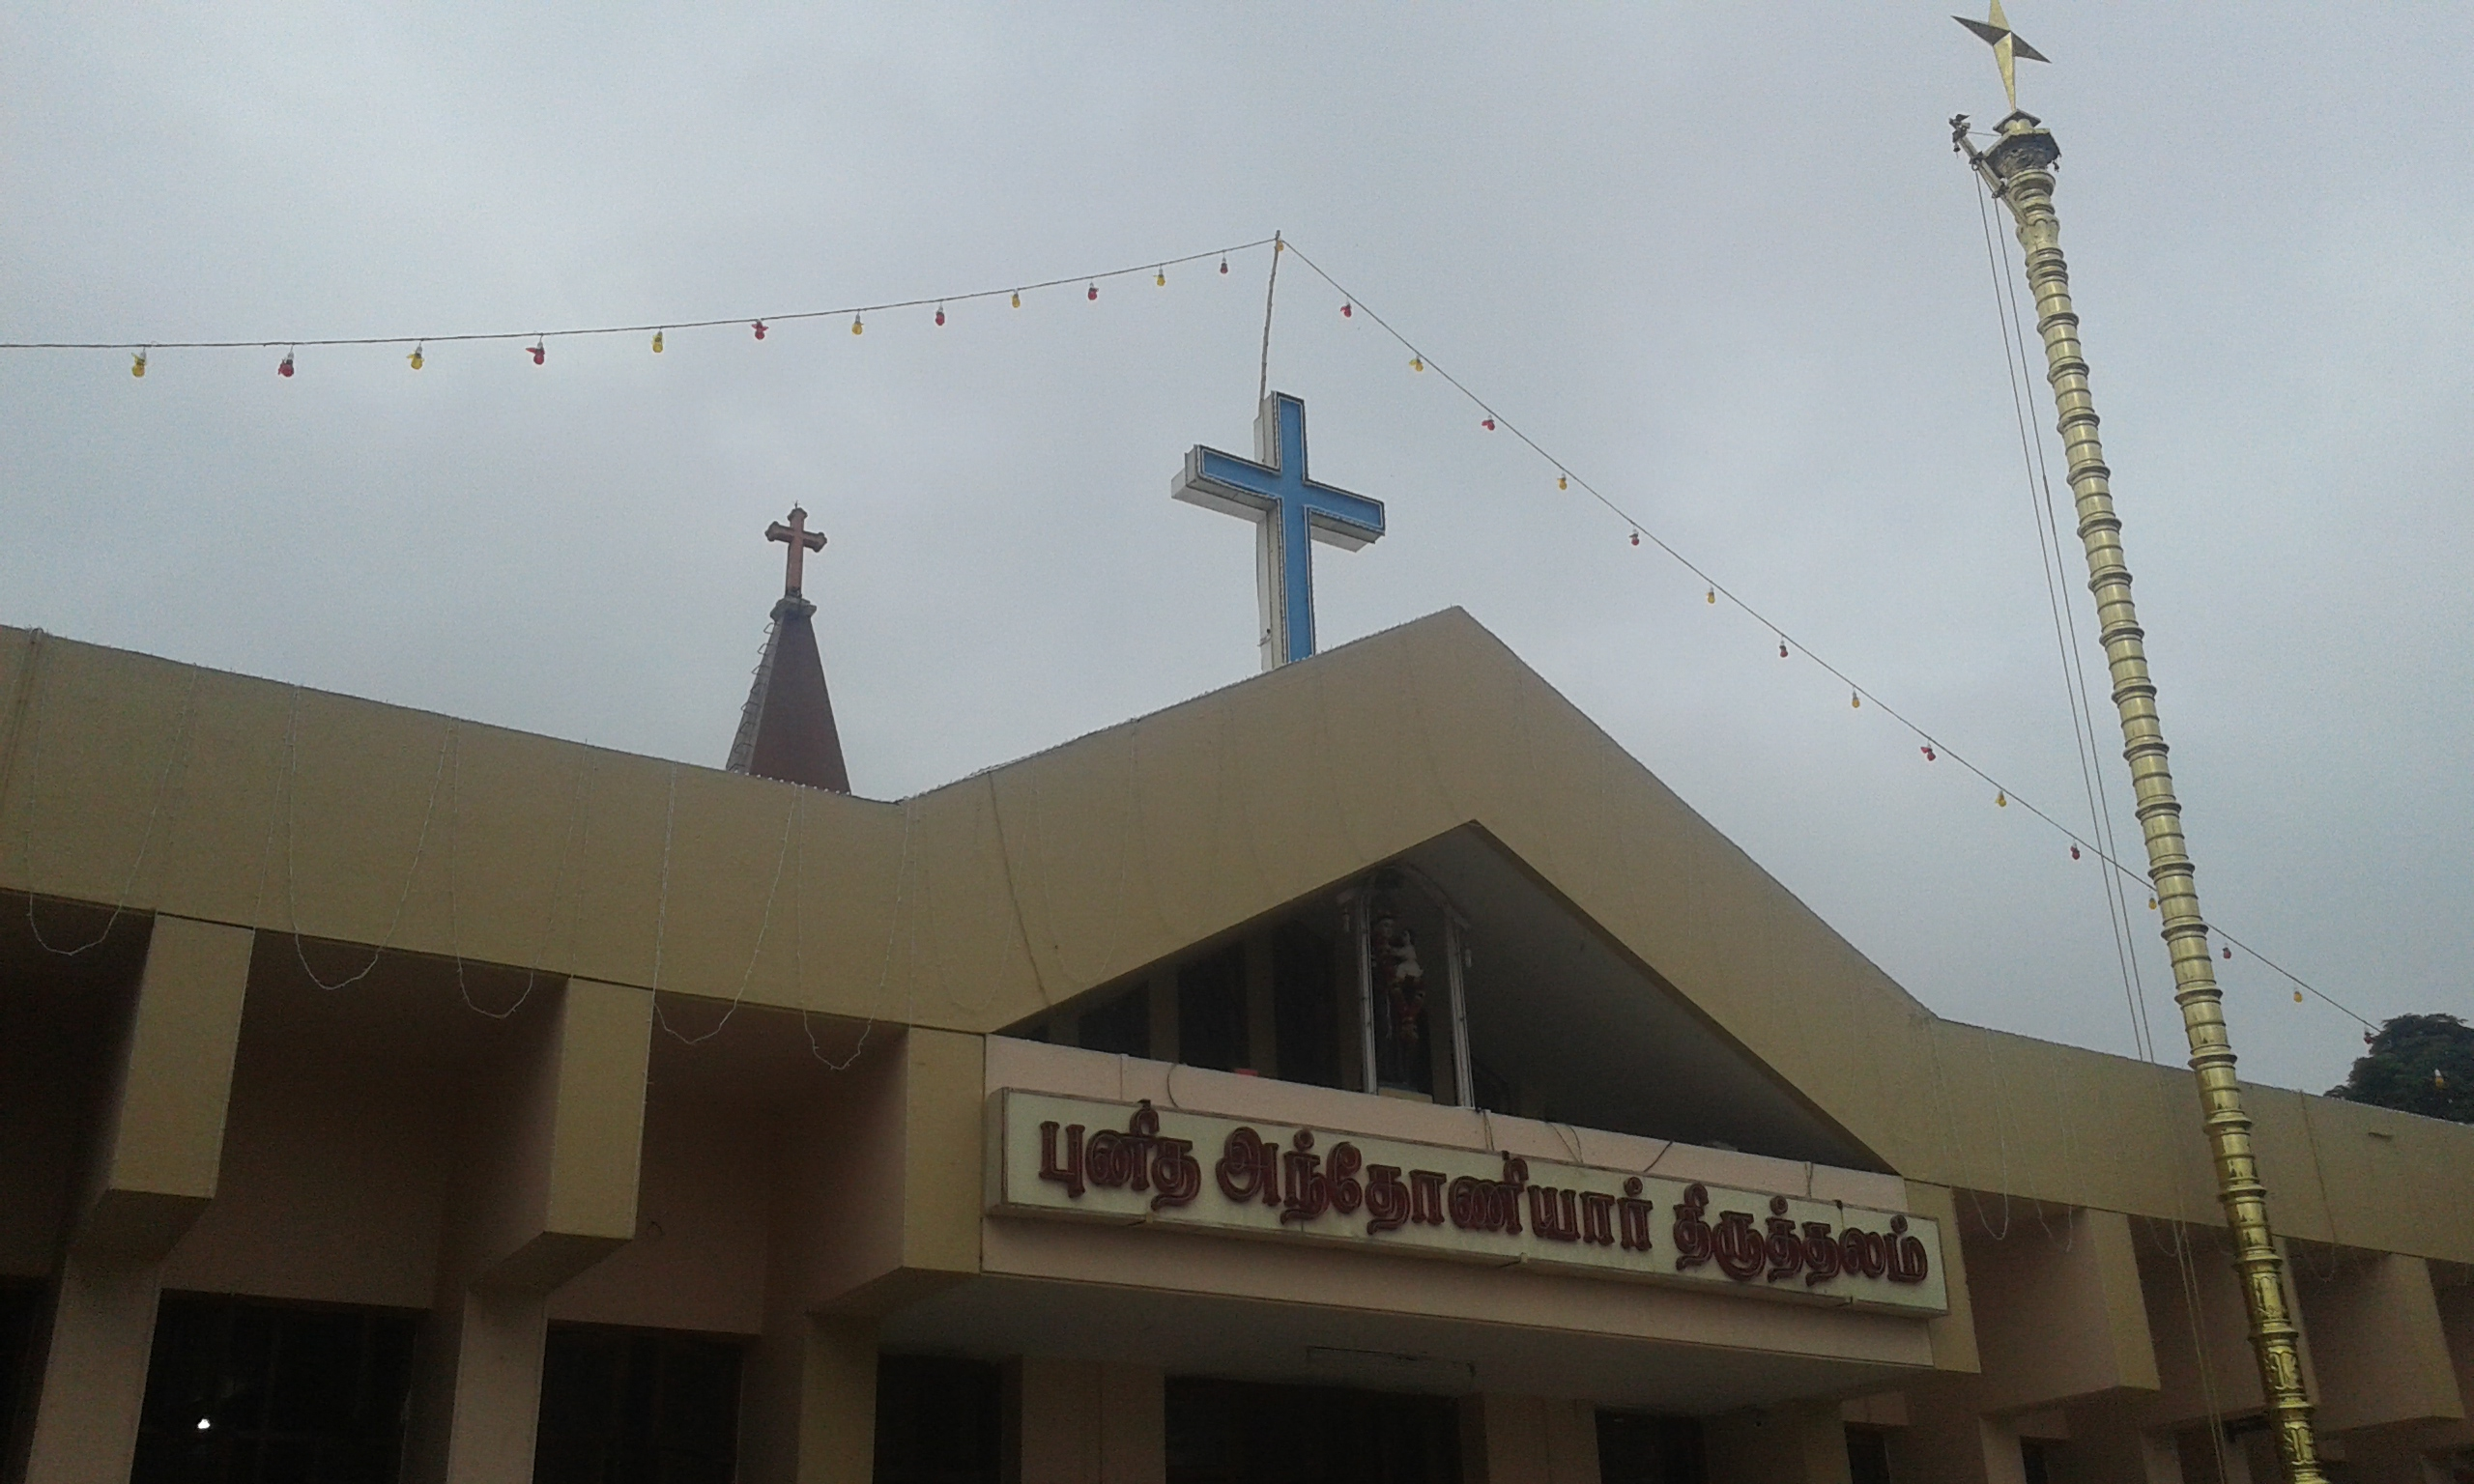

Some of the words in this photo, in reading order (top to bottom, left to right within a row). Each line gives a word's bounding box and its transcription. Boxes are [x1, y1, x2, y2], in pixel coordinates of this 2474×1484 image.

[1031, 1090, 1209, 1214] பனீத
[1211, 1117, 1659, 1260] அந்தோணியார்
[1657, 1170, 1933, 1295] தீருத்தலம்